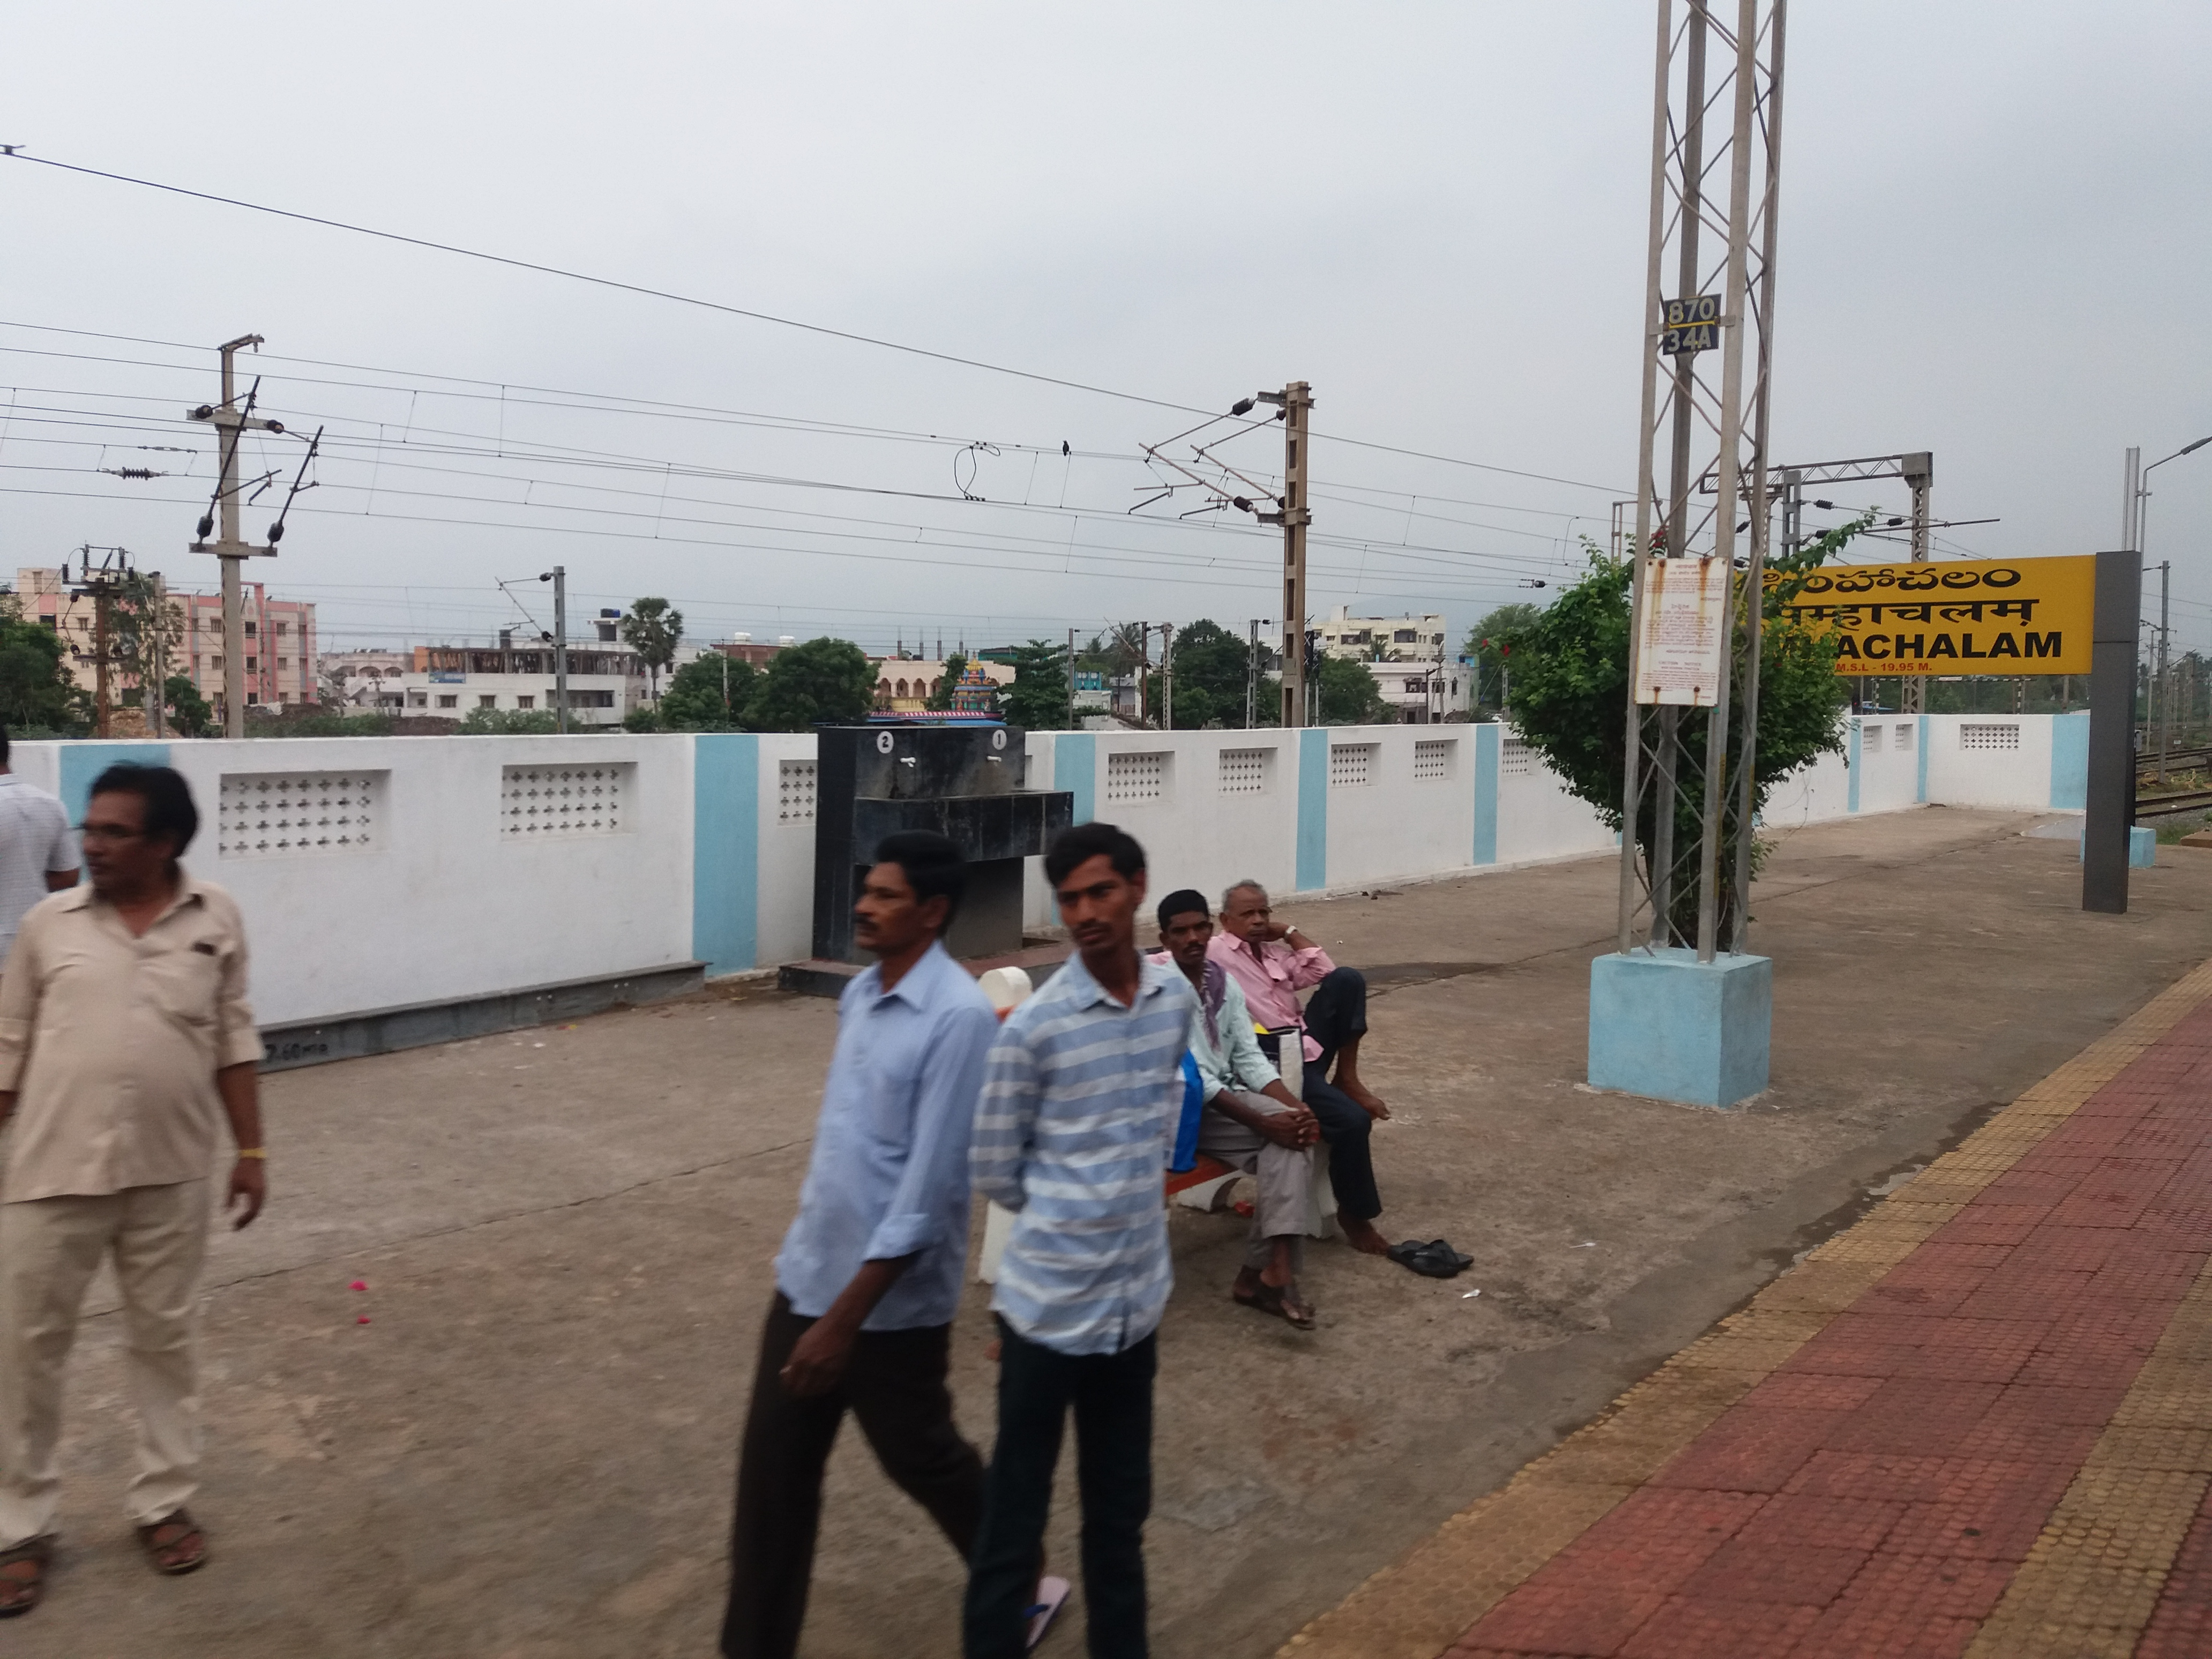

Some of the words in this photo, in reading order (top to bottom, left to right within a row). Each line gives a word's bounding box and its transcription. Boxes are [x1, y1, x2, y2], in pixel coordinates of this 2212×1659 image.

[1760, 563, 2024, 601] సింహాచలం
[1763, 596, 2044, 634] सम्हाचलम
[1829, 629, 2063, 662] ACHALAM
[1835, 659, 1934, 674] M.S.L-19.95M.